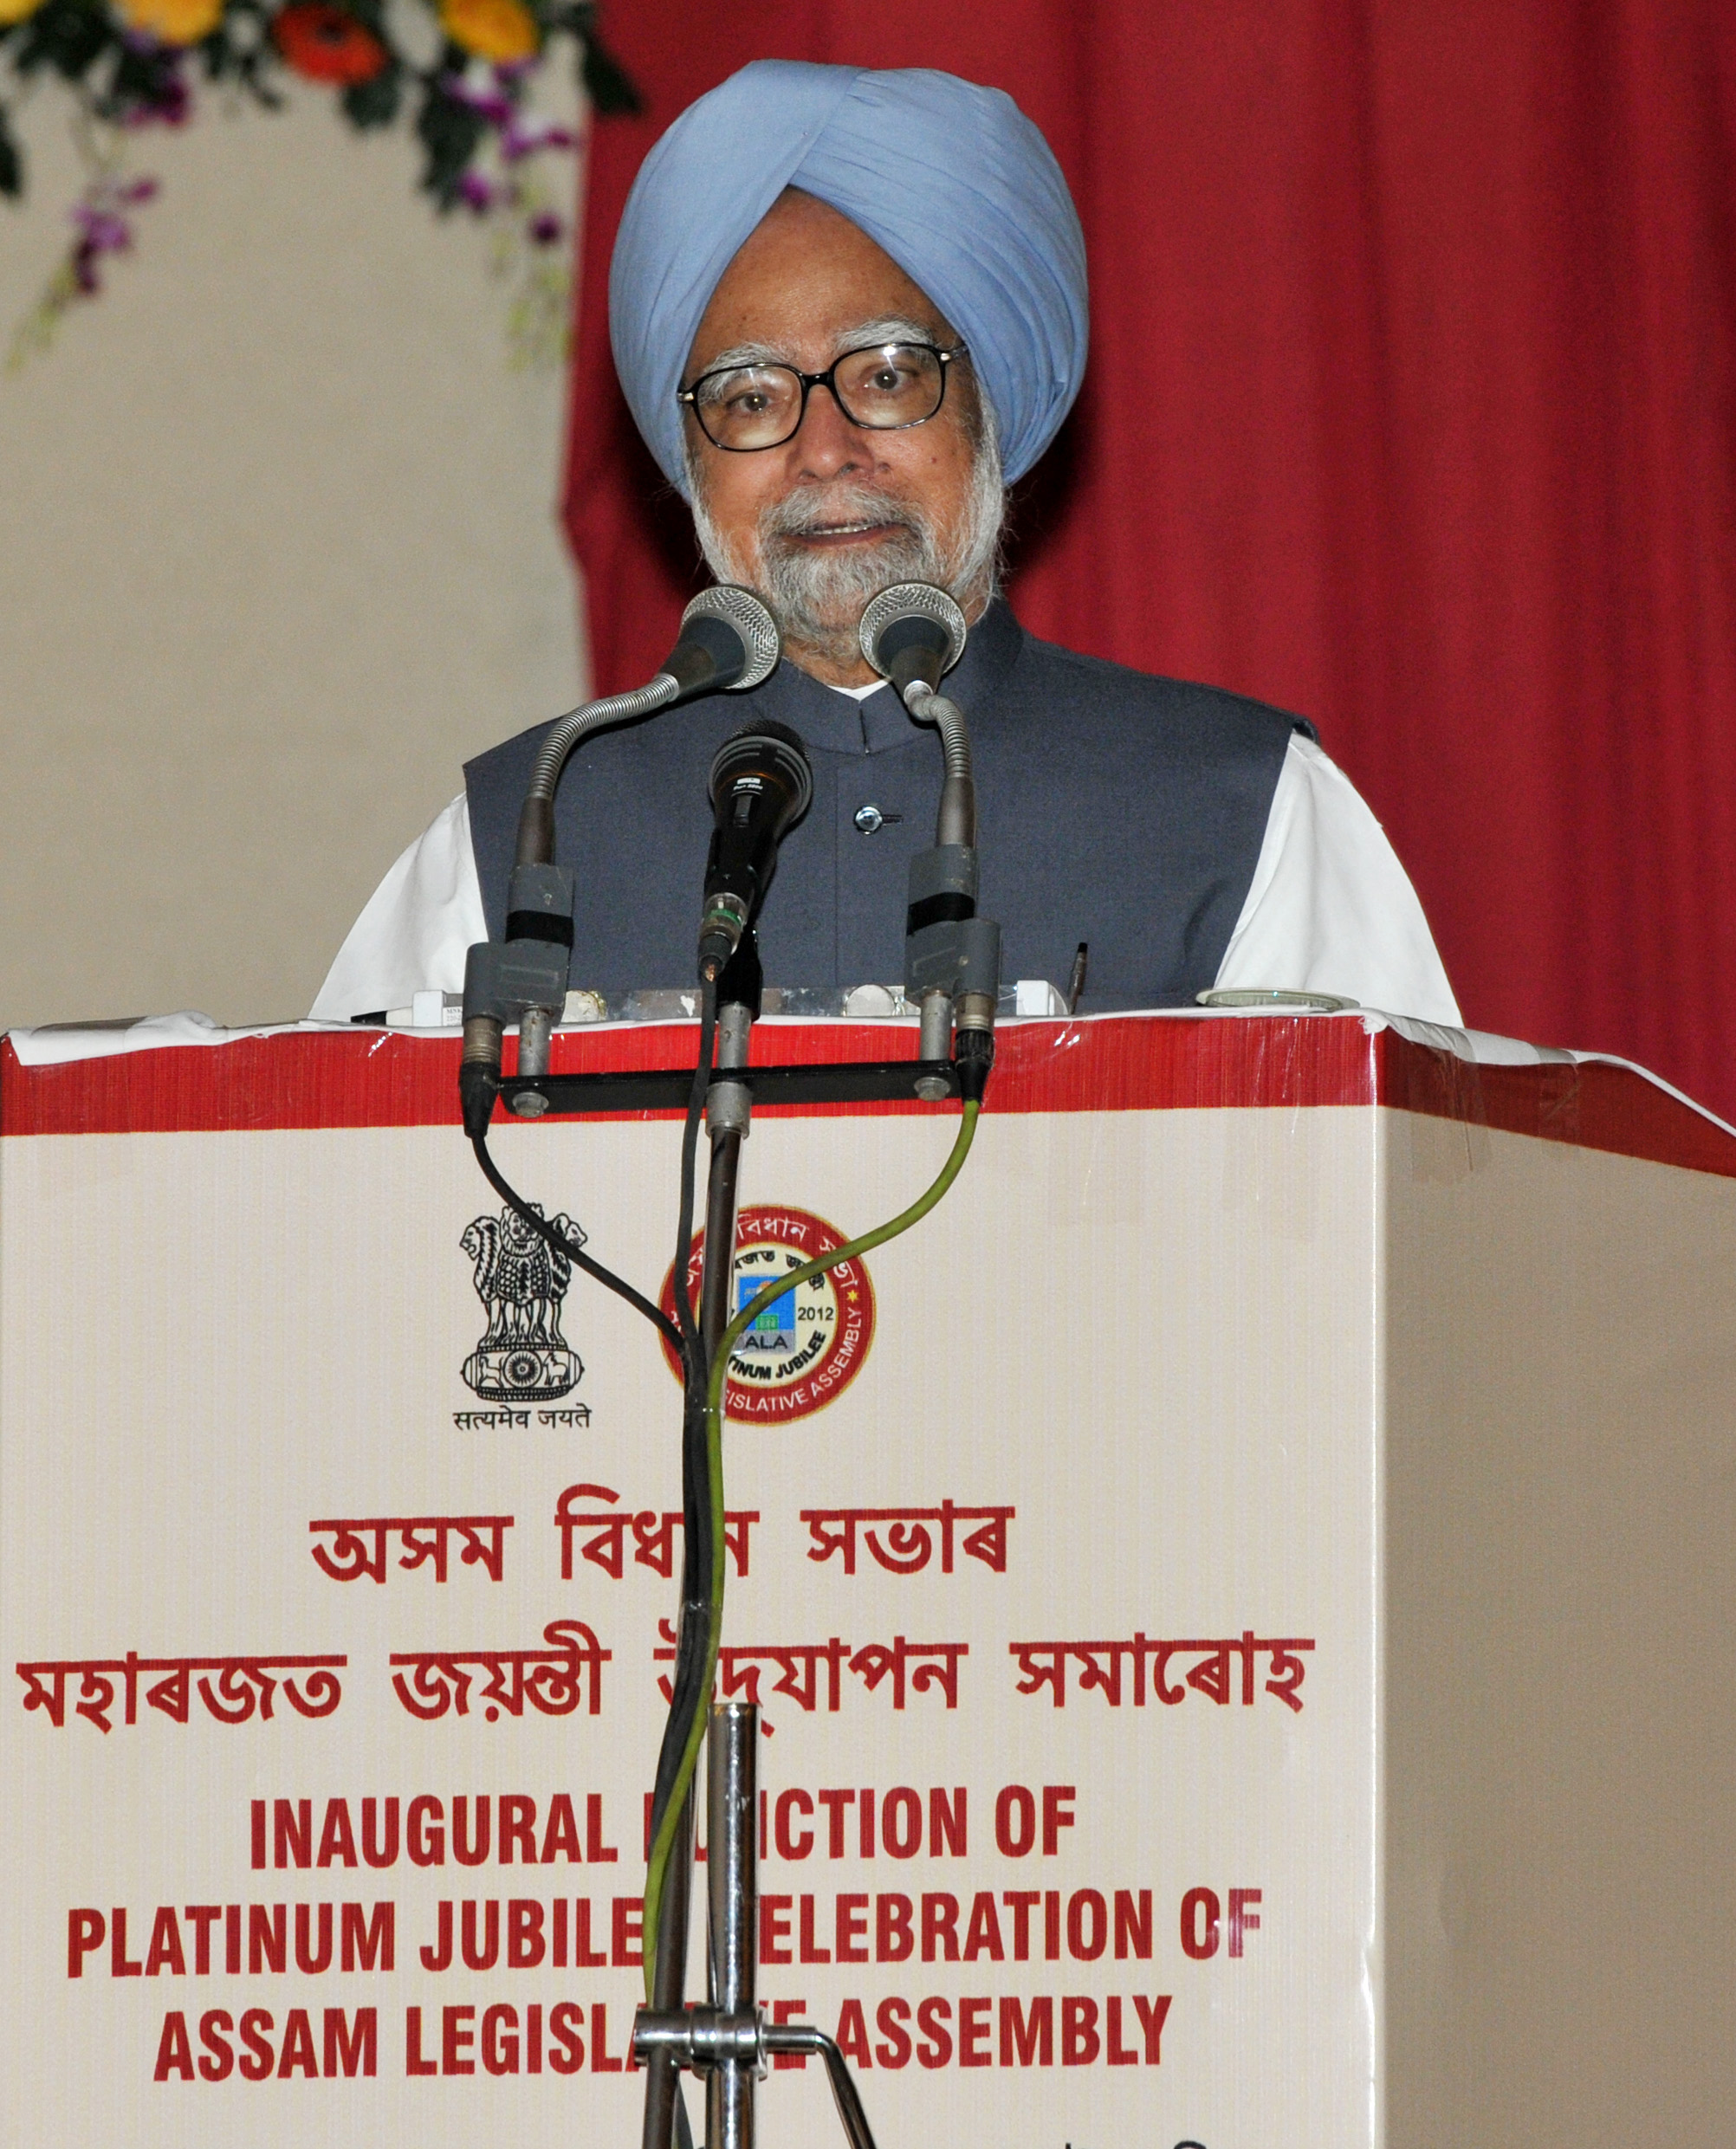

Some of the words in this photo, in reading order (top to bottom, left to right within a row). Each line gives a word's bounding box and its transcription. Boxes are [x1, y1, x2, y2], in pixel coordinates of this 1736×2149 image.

[724, 1199, 819, 1246] বিধান
[449, 1398, 537, 1434] सत्यमेव
[535, 1399, 594, 1436] जयते
[710, 1377, 816, 1422] ISLATIVE
[772, 1324, 830, 1382] JUBILEE
[792, 1299, 841, 1325] 2012
[800, 1299, 870, 1408] ASSEMBLY
[304, 1512, 512, 1591] অসম
[545, 1479, 684, 1600] বিধ
[794, 1493, 1029, 1590] সভাৰ
[7, 1641, 353, 1748] মহাৰজত
[381, 1602, 629, 1731] জয়ন্তী
[645, 1608, 974, 1739] উদযাপন
[1005, 1627, 1322, 1720] সমাৰোহ
[246, 1779, 629, 1878] INAUGURAL
[983, 1771, 1087, 1867] ০৮
[55, 1890, 407, 1984] PLATINUM
[418, 1890, 651, 1977] JUBILE
[754, 1881, 1164, 1973] ELEBRATION
[1168, 1874, 1276, 1977] OF
[139, 1996, 388, 2100] ASSAM
[393, 1992, 634, 2088] LEGISL
[825, 1989, 1187, 2077] ASSEMBLY